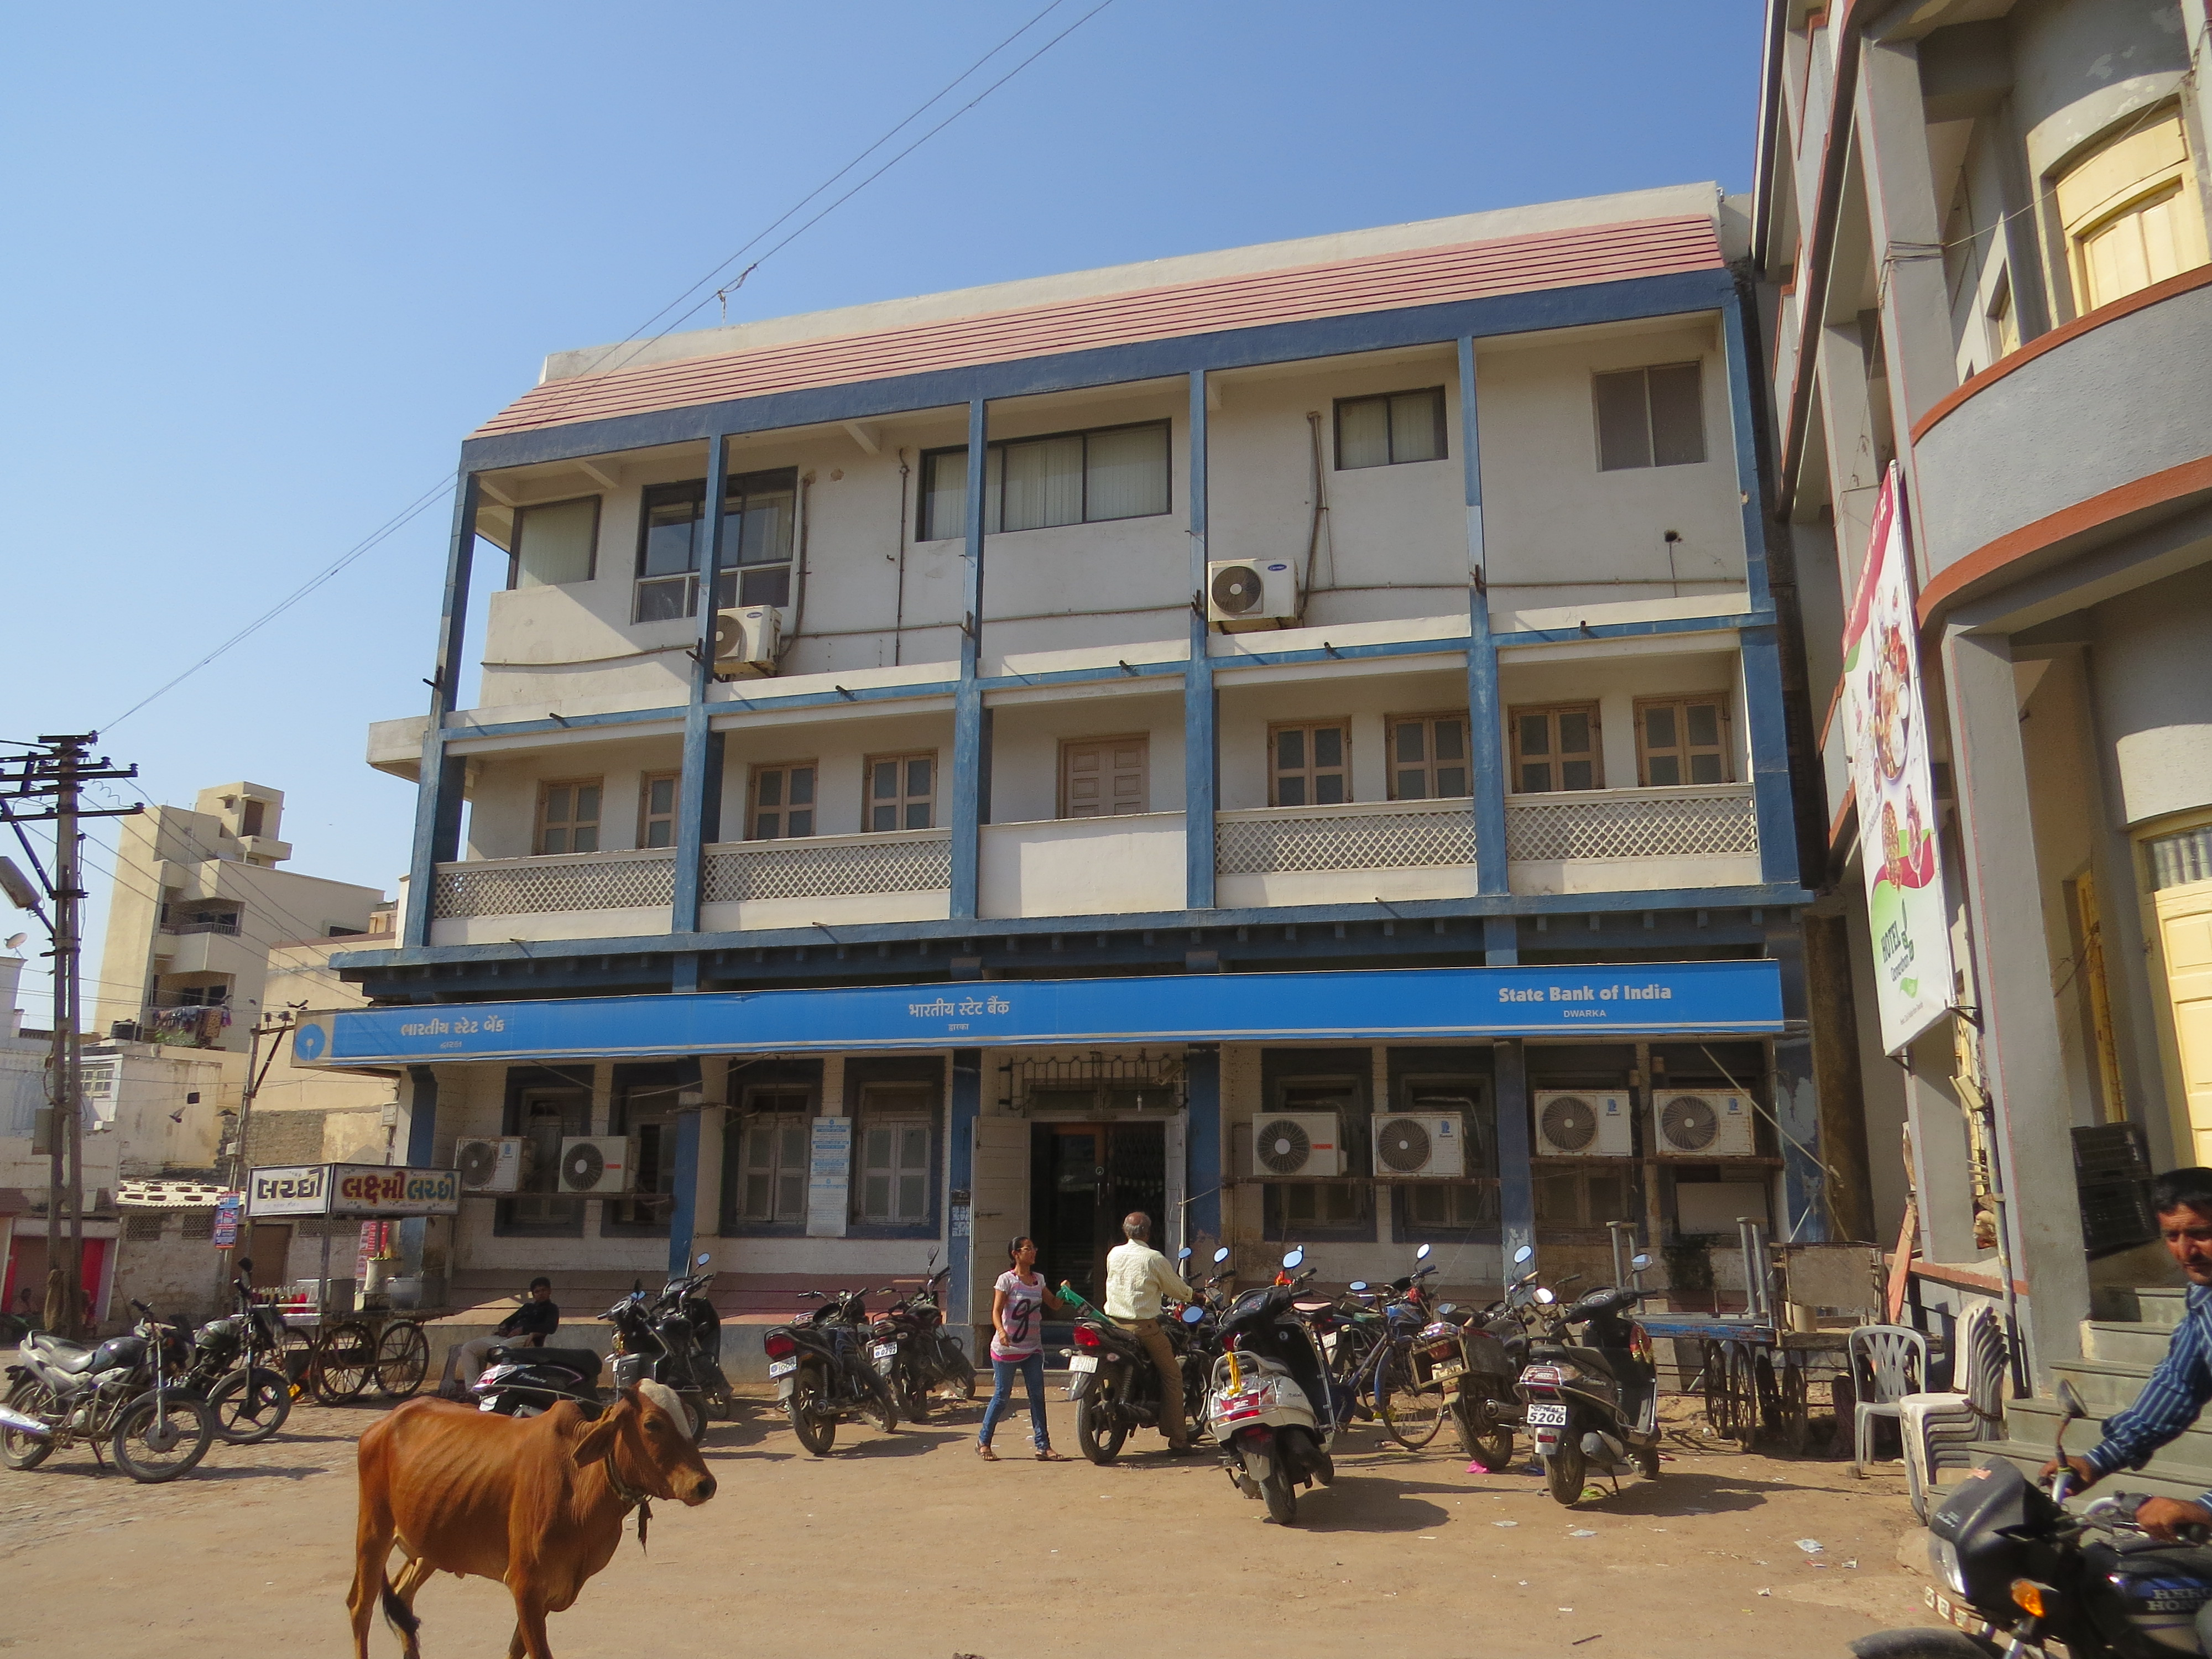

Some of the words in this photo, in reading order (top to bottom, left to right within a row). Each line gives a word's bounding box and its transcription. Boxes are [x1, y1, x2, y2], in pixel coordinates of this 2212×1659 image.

[907, 994, 957, 1019] भारतीय
[957, 995, 984, 1016] स्टेट
[984, 993, 1013, 1018] बैंक
[1495, 986, 1547, 1007] State
[1547, 982, 1597, 1003] Bank
[1561, 1008, 1607, 1018] DWARKA
[1599, 984, 1621, 1003] of
[1621, 982, 1673, 1004] India
[399, 1015, 451, 1037] ભારતીય
[450, 1014, 483, 1034] સ્ટેટ
[481, 1013, 507, 1036] બેંક
[945, 1021, 969, 1033] द्वारका
[434, 1039, 467, 1050] દ્વારકા
[253, 1165, 327, 1203] લચ્ઘી
[338, 1168, 410, 1208] લક્ષ્મી
[406, 1170, 458, 1206] લચ્છી
[1526, 1410, 1565, 1423] 5206